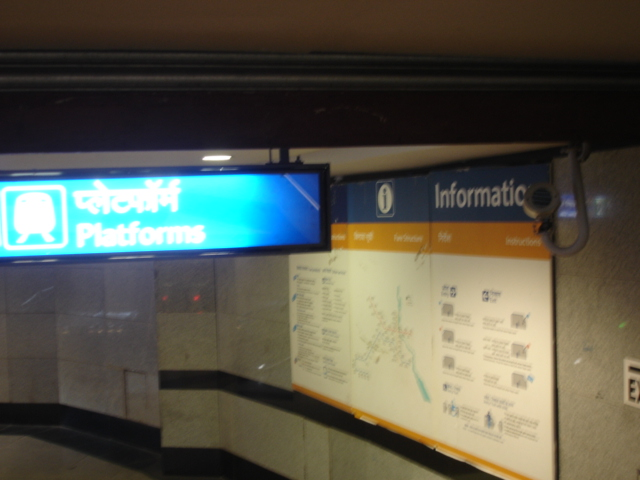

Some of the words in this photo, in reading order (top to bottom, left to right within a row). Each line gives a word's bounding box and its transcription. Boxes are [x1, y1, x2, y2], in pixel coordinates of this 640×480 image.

[69, 178, 182, 218] प्लेटफॉर्म
[433, 175, 533, 211] Informatic
[75, 217, 209, 249] Platforms